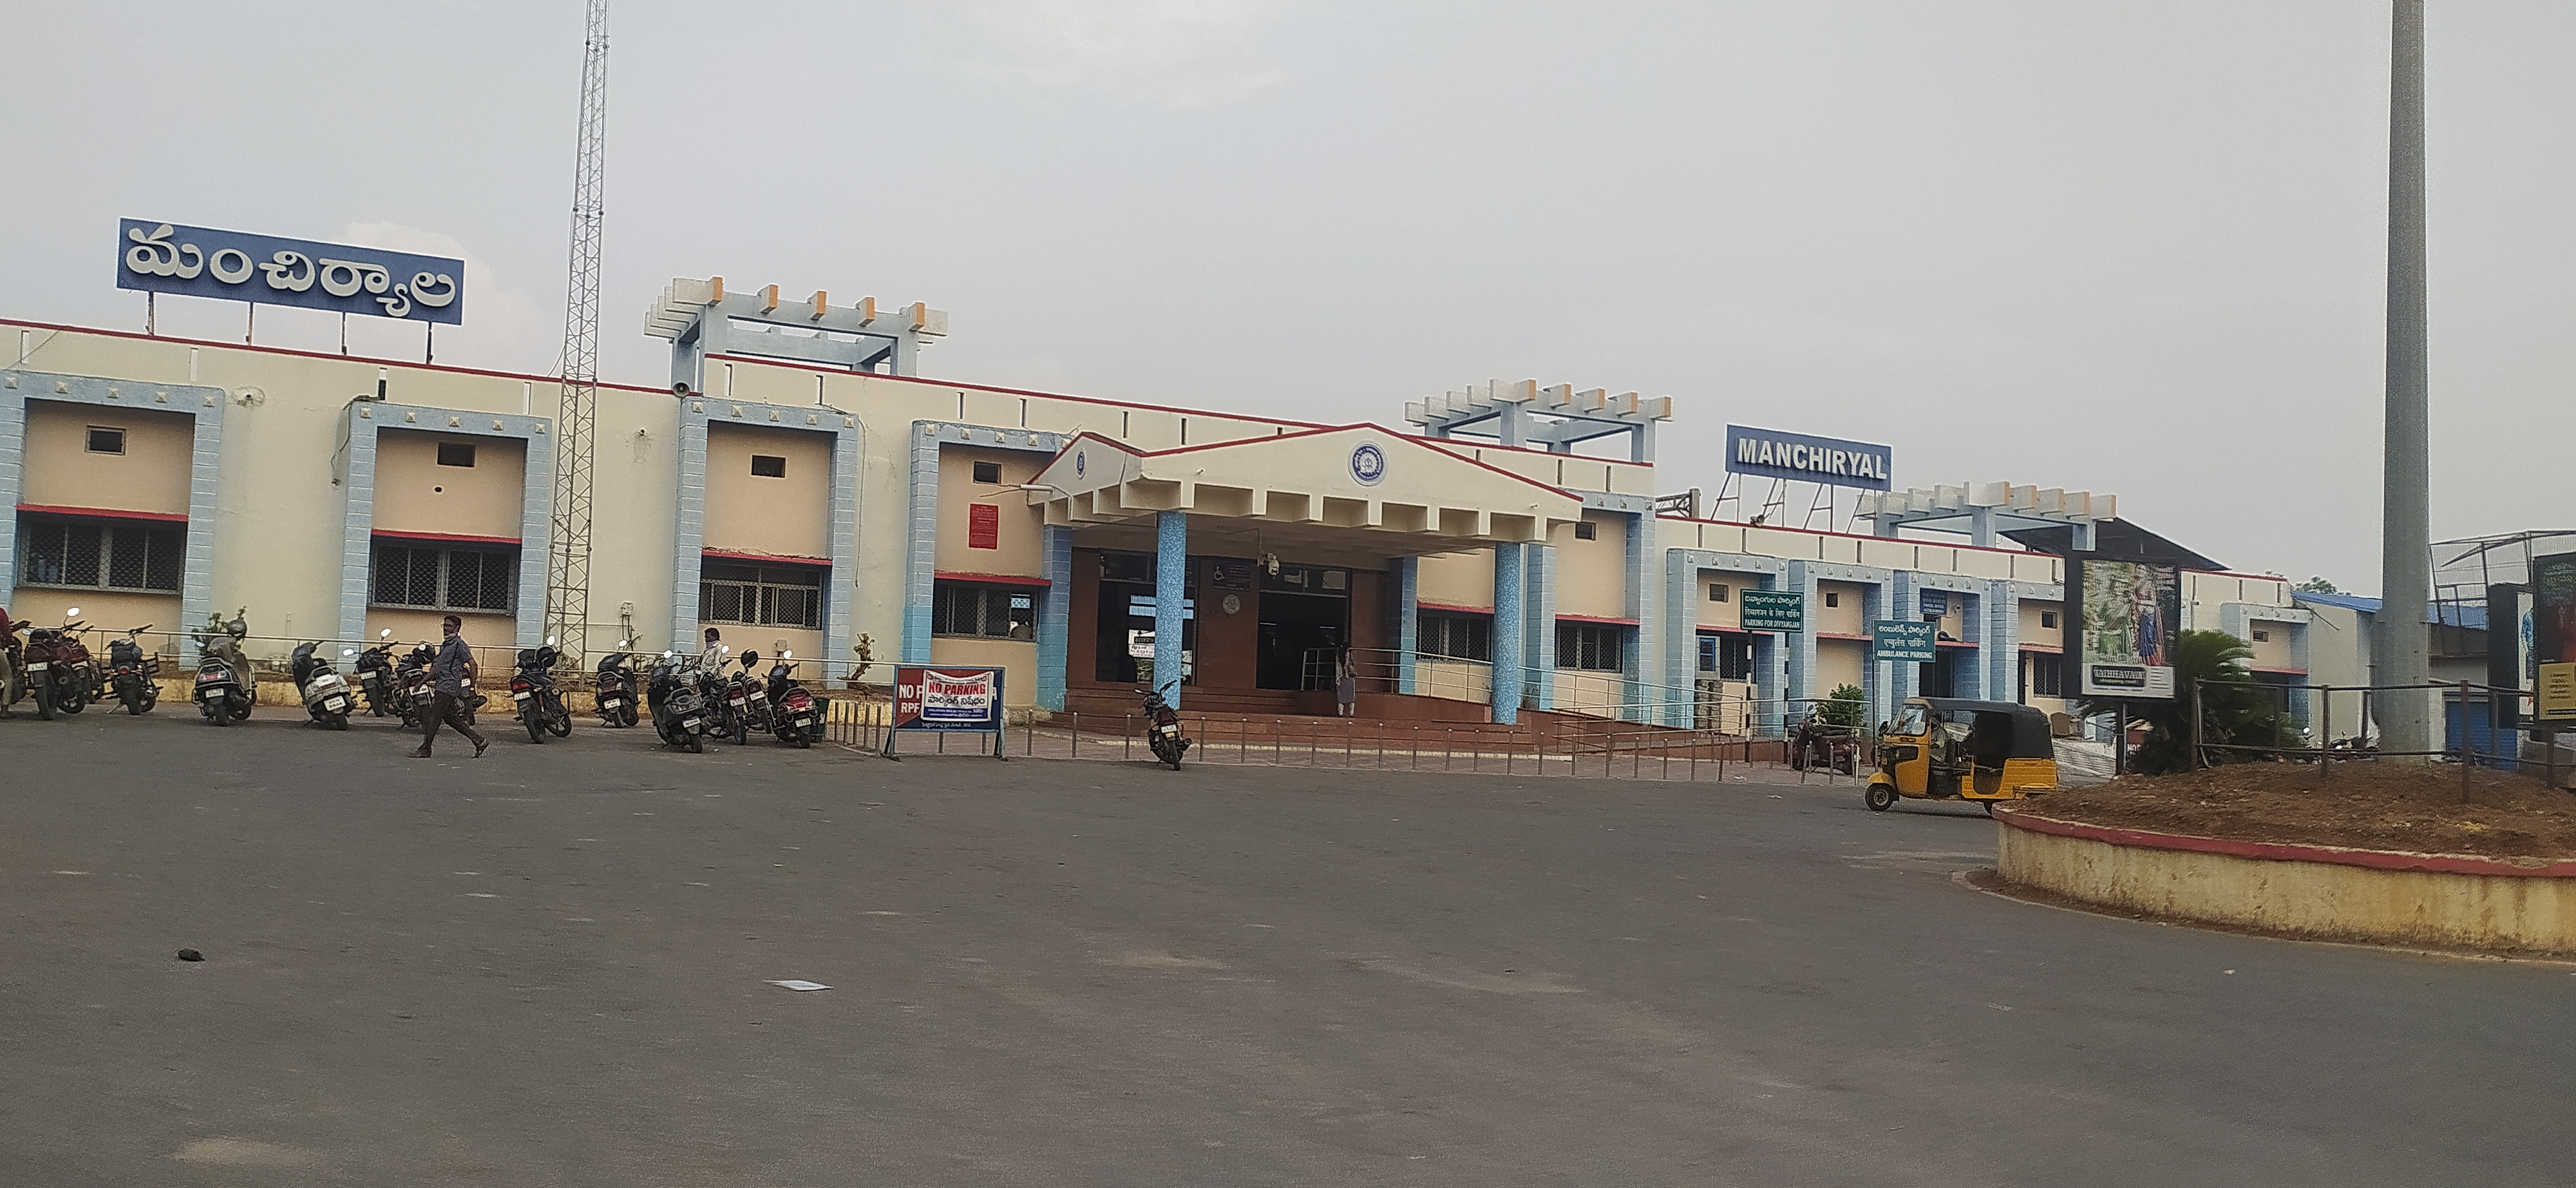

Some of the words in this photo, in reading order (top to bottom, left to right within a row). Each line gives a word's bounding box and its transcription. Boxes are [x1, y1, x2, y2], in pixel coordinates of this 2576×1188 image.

[120, 220, 459, 319] మంచిర్యాల
[1736, 434, 1891, 481] MANCHIRYAL
[1741, 591, 1779, 606] దివ్యాంగుల
[1774, 593, 1804, 609] పార్కింగ్
[1741, 601, 1769, 619] दिव्यागजन
[1765, 605, 1777, 618] के
[1772, 604, 1788, 622] लिए
[1783, 605, 1804, 622] पार्किंग
[1742, 616, 1766, 631] PARKING F
[1764, 617, 1775, 631] FOR
[1772, 617, 1803, 632] DIVYANGJAN
[1876, 619, 1934, 640] అంబులెన్స్ పార్కింగ్
[1882, 634, 1908, 651] एम्बुलेंस
[1904, 634, 1929, 650] पार्किंग
[1875, 647, 1911, 660] AMBULANCE
[1907, 649, 1935, 662] PARKING
[924, 680, 946, 696] NO
[942, 682, 989, 696] PARKING
[925, 691, 963, 708] పార్కంగ్
[958, 692, 988, 709] నిషేధం